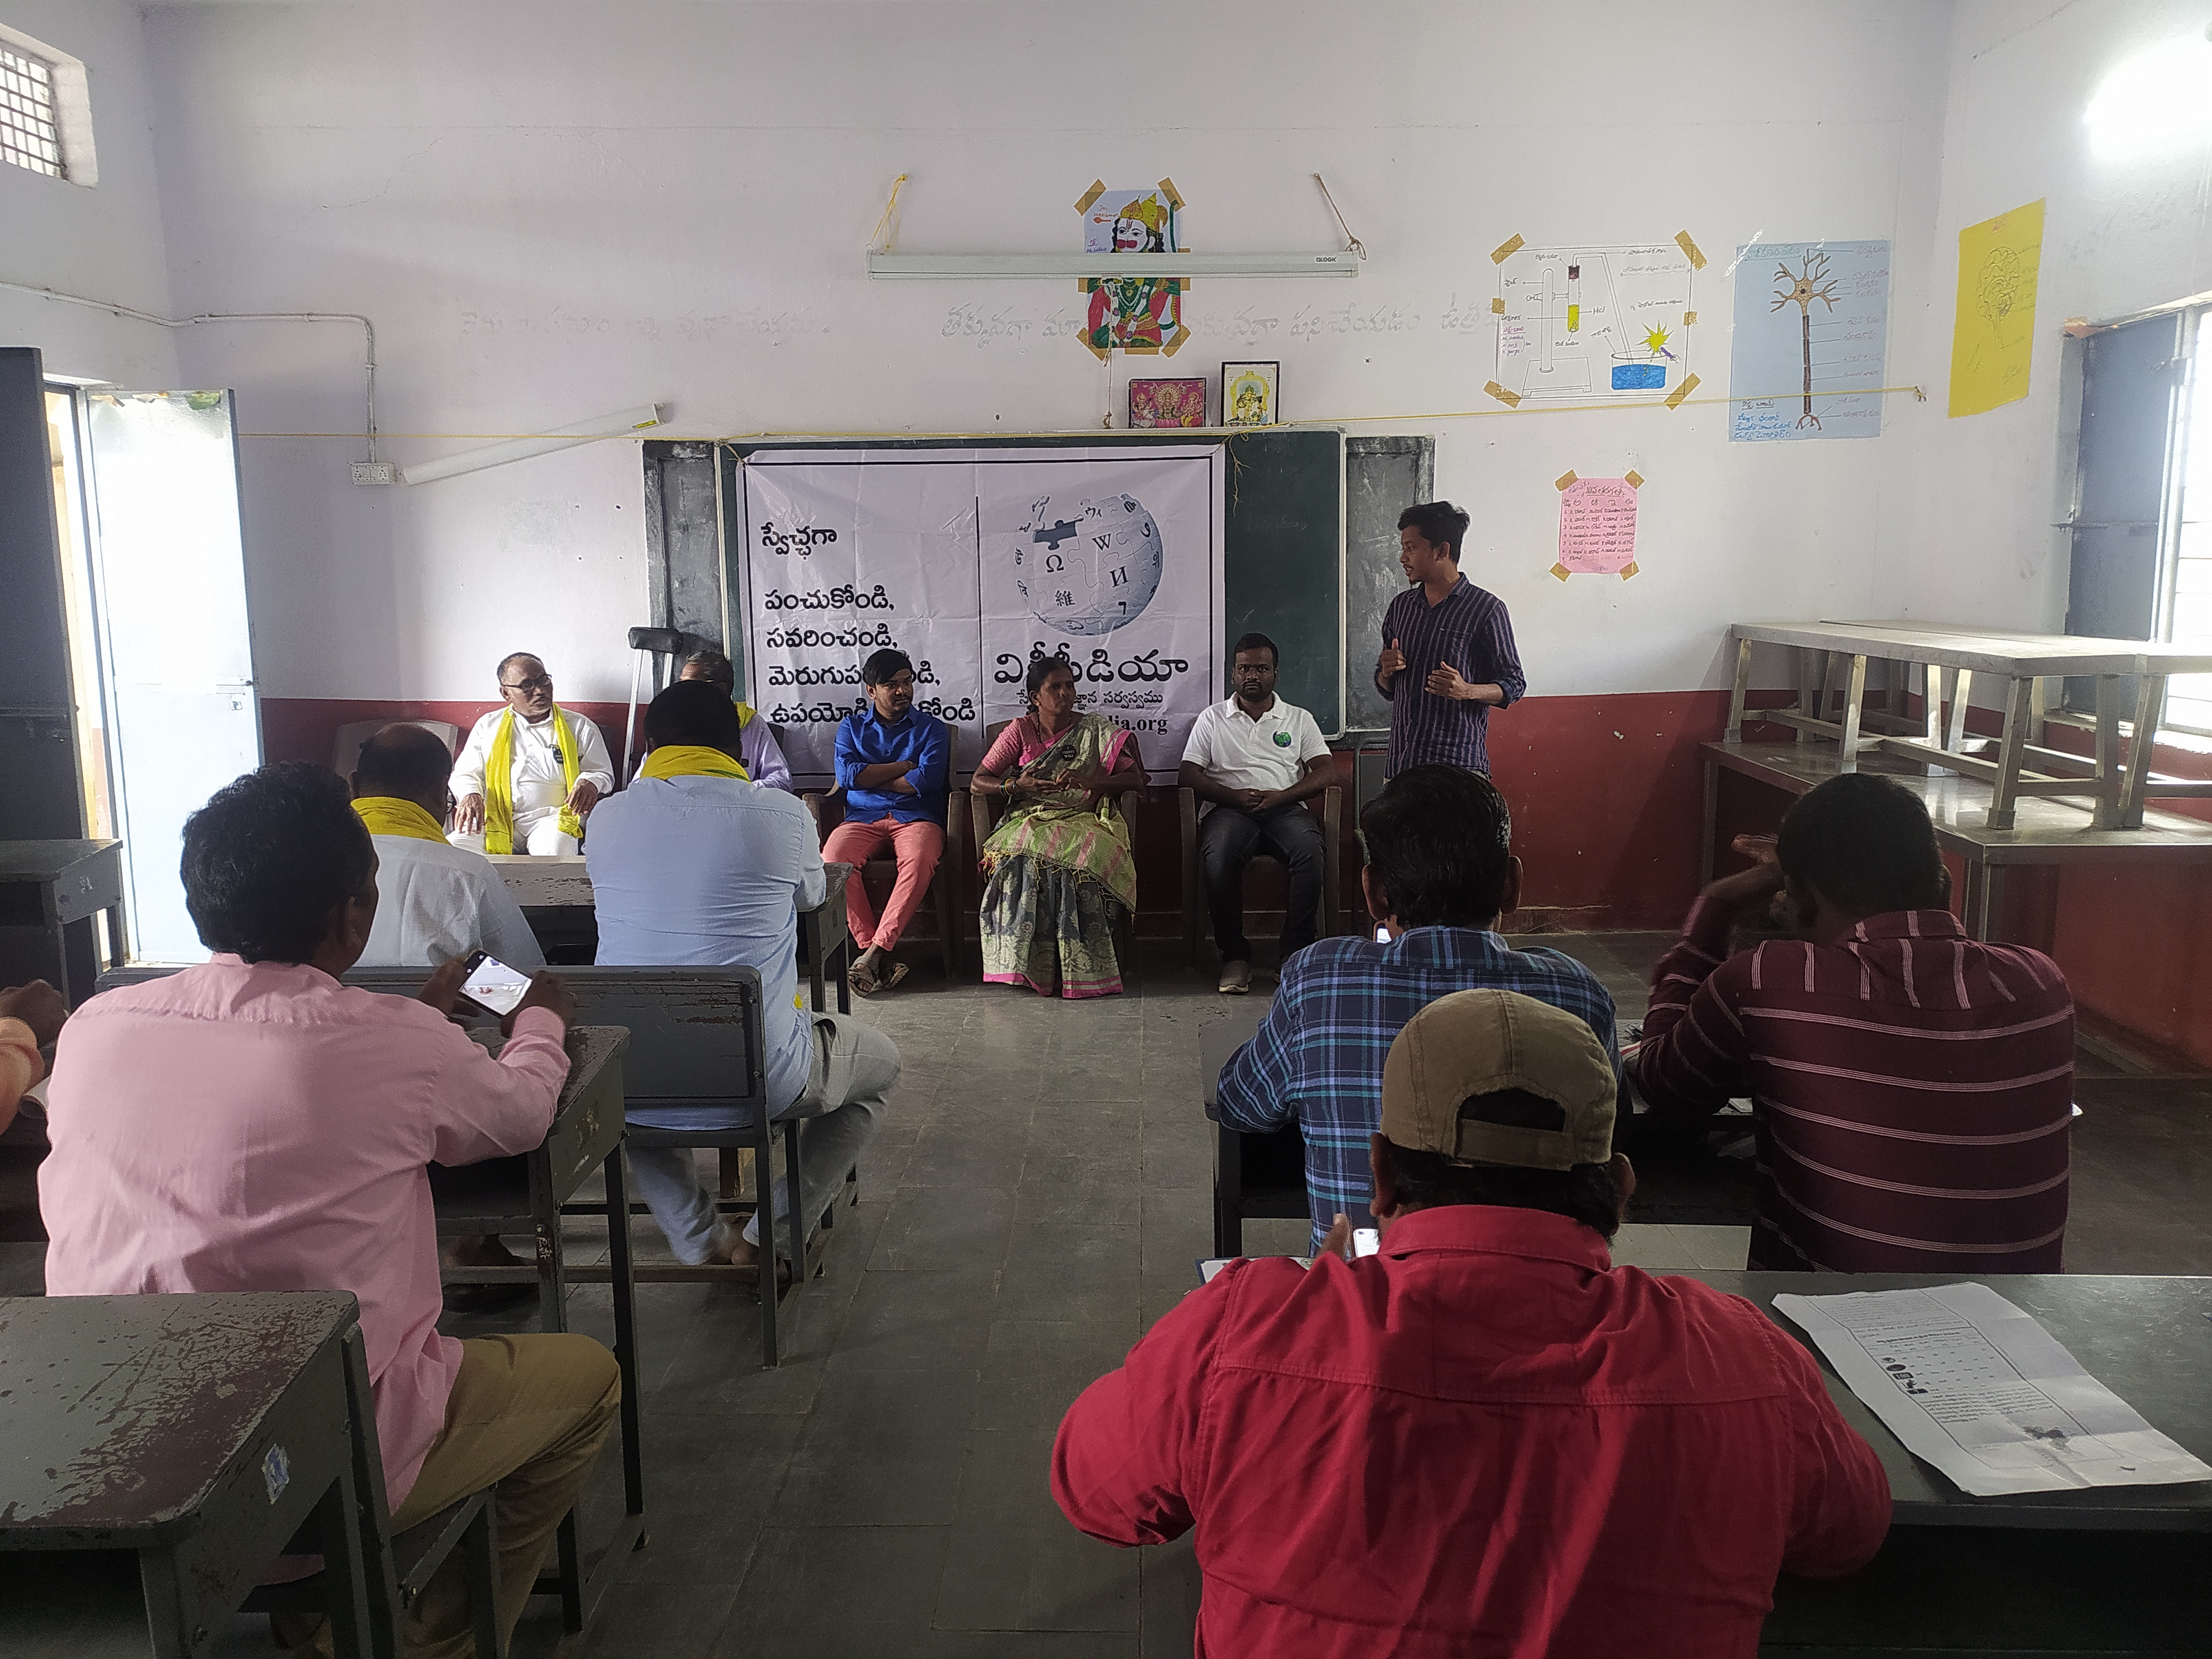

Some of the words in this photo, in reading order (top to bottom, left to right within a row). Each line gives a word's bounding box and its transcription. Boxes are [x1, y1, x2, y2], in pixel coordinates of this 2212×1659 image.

[757, 519, 845, 562] స్వేచ్ఛగా
[758, 580, 894, 619] పంచుకోండి
[761, 615, 904, 654] సవరించండి,
[762, 659, 868, 693] మెరుగుప
[987, 636, 1198, 686] వికీపీడియా
[766, 692, 875, 731] ఉపయోగి